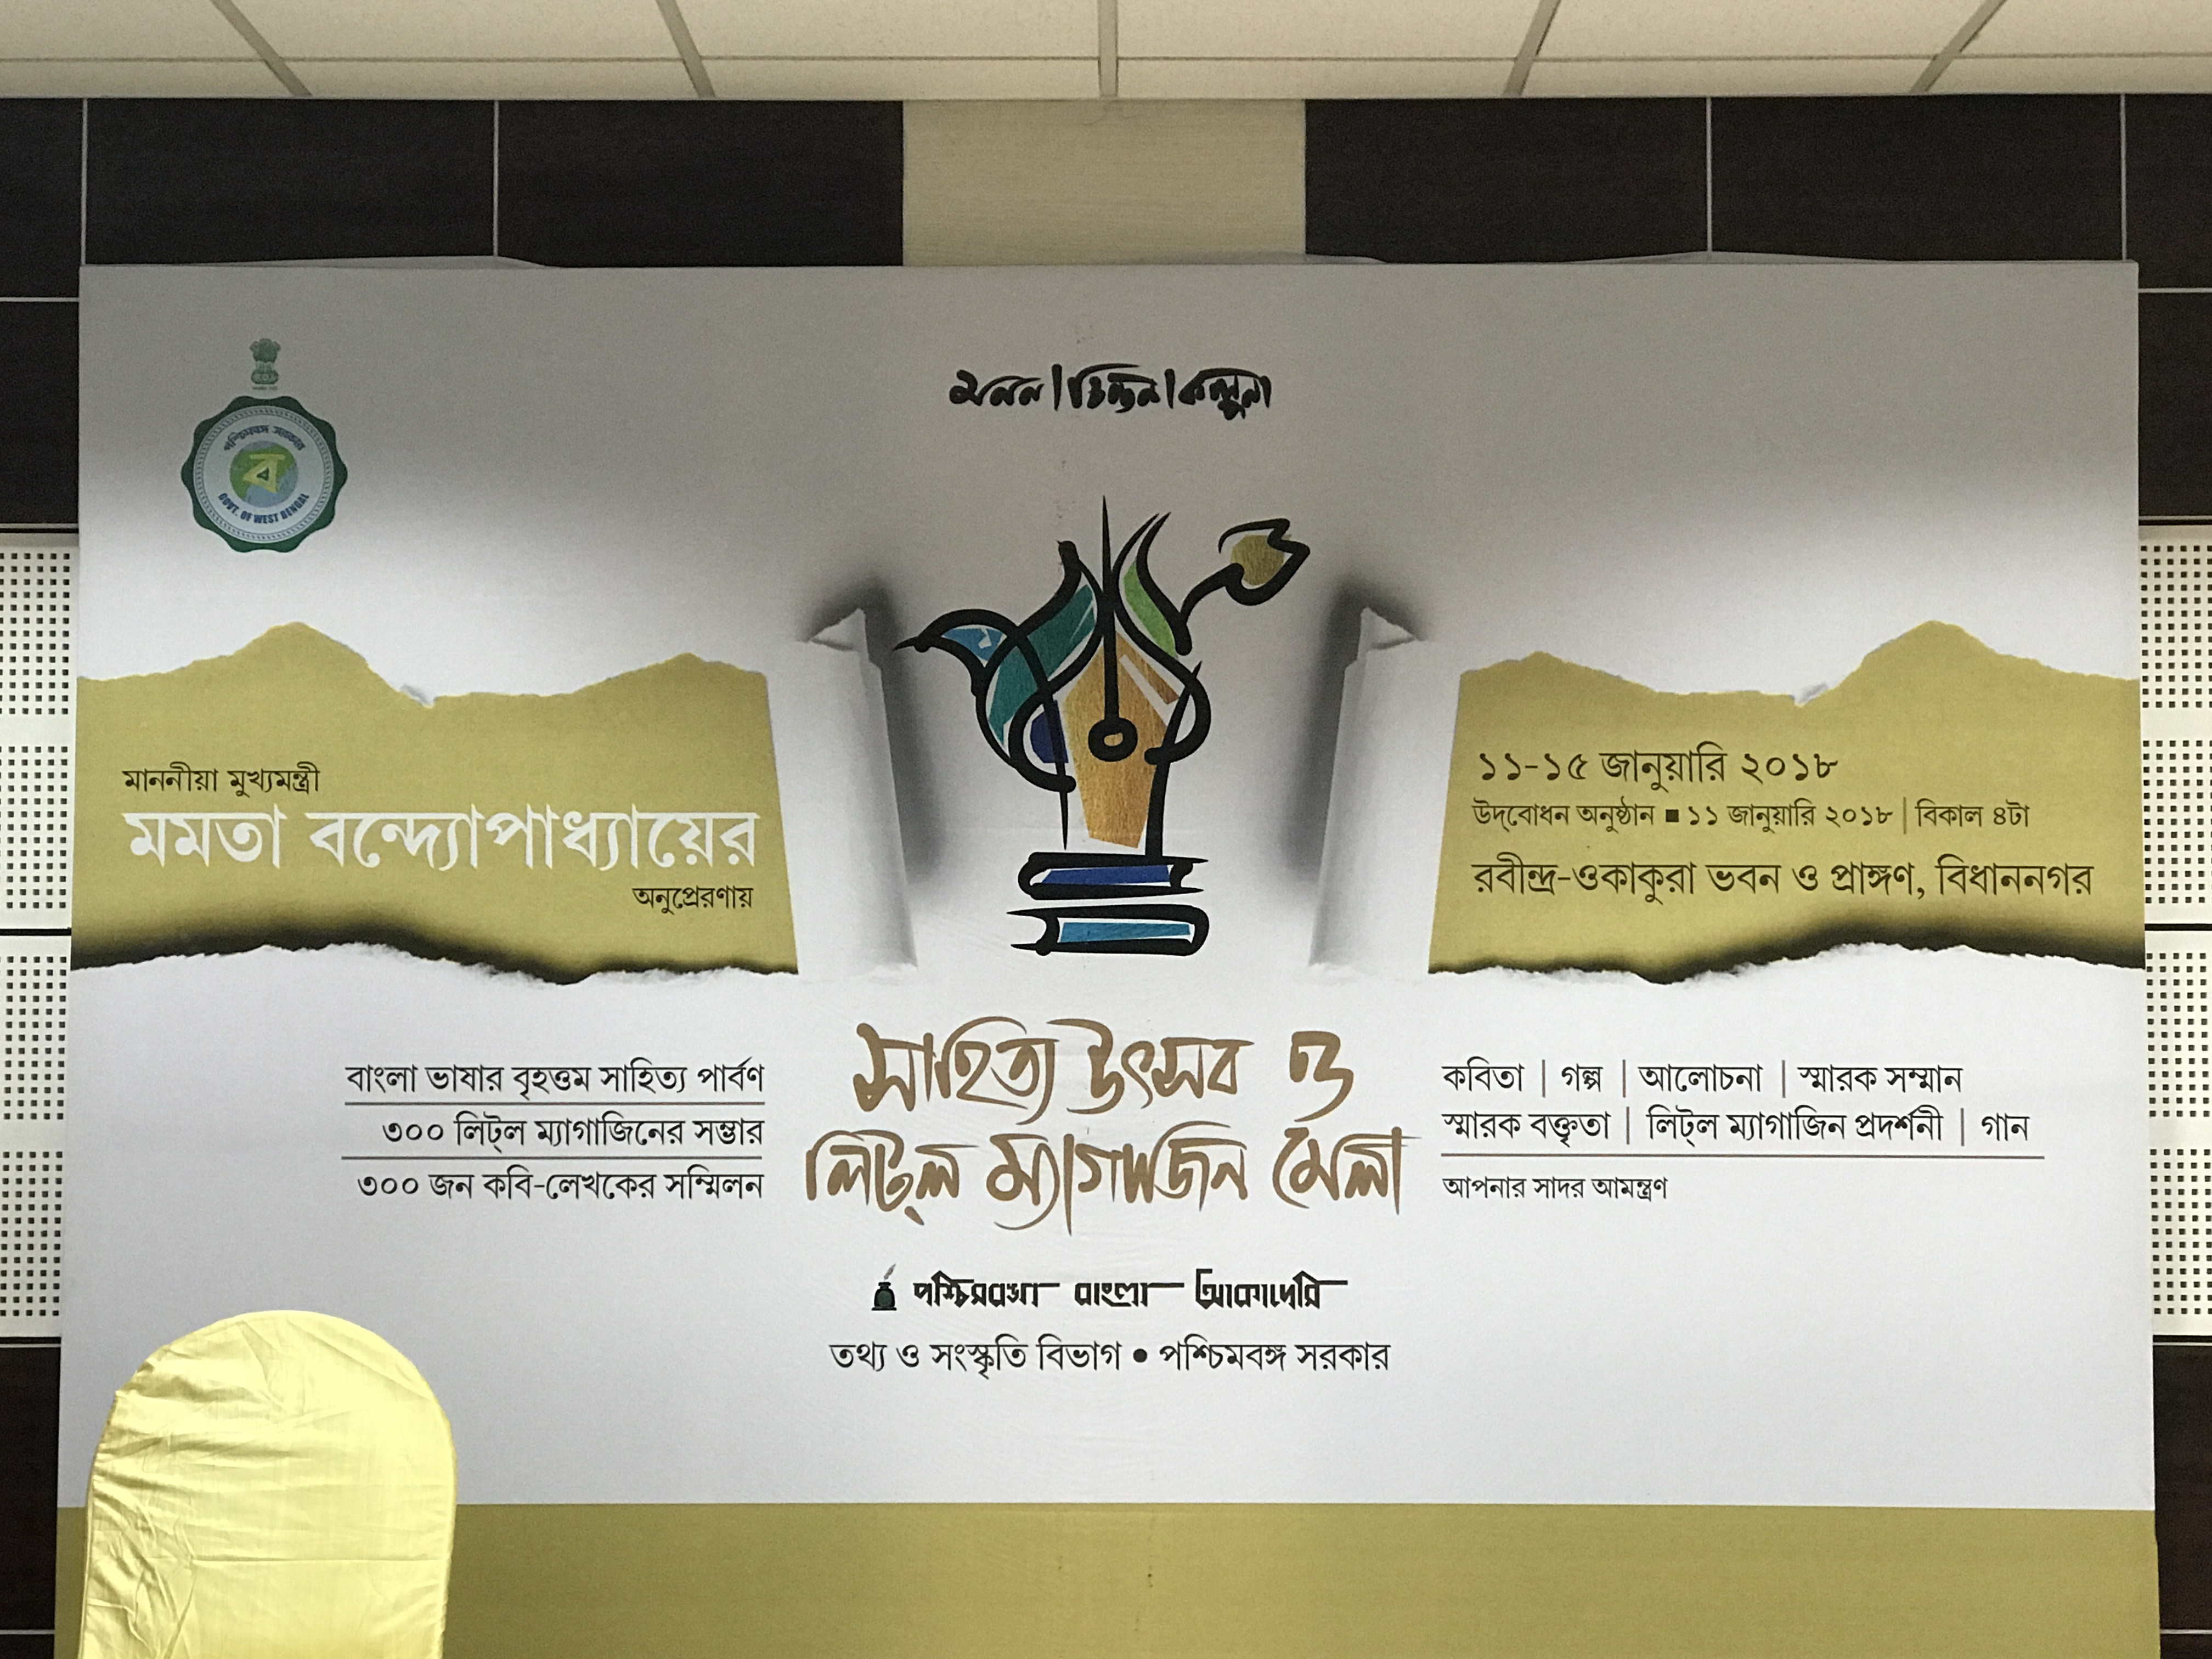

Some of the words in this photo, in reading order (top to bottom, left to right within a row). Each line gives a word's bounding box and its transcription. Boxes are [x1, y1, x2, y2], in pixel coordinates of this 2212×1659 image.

[214, 418, 274, 456] পশ্চিমবঙ্গ
[266, 419, 312, 454] সরকার
[213, 488, 243, 517] GOVT.
[233, 505, 259, 526] OF
[250, 506, 283, 528] WEST
[278, 488, 315, 524] BENGAL
[118, 759, 222, 798] মাননিয়া
[226, 755, 323, 804] মুখ্যমন্ত্রী
[1596, 740, 1728, 793] জানুয়ারি
[1735, 744, 1837, 787] ২০১৮
[122, 799, 290, 869] মমতা
[301, 803, 763, 876] বন্দ্যোপাধ্যায়ের
[1467, 793, 1570, 834] উদ্বোধন
[1572, 795, 1657, 834] অনুষ্ঠান
[1659, 795, 1722, 836] ১১
[1724, 789, 1818, 836] জানুয়ারি
[1818, 795, 1895, 834] ২০১৮
[1909, 791, 1984, 838] বিকাল
[1982, 795, 2034, 834] ৪টা
[624, 884, 757, 916] অনুপ্রেরণায়
[1467, 848, 1561, 904] রবীন্দ্র
[1571, 858, 1700, 911] ওকাকুরা
[1702, 856, 1782, 902] ভবন
[1791, 856, 1824, 899] ও
[1824, 854, 1917, 901] প্রাঙ্গণ
[1936, 848, 2094, 901] বিধাননগর
[337, 1055, 419, 1100] বাংল৷
[424, 1061, 509, 1097] ভাষার
[505, 1060, 594, 1104] বৃহত্তম
[591, 1048, 691, 1102] সাহিত্য
[693, 1051, 767, 1100] পার্বণ
[840, 1010, 1066, 1125] সাহিত্য
[1045, 1013, 1255, 1125] উৎসব
[1441, 1055, 1527, 1096] কবিতা
[1552, 1053, 1608, 1096] গল্প
[1637, 1060, 1770, 1097] আলোচনা
[1793, 1059, 1882, 1096] স্মারক
[1882, 1062, 1966, 1094] সম্মান
[372, 1115, 452, 1147] ৩০০
[451, 1101, 532, 1160] লিট্ল
[531, 1107, 690, 1151] ম্যাগাজিনের
[689, 1111, 765, 1154] সম্ভার
[1436, 1107, 1523, 1143] স্মারক
[1528, 1104, 1612, 1150] বক্তৃতা
[1639, 1098, 1719, 1147] লিট্ল
[1724, 1102, 1849, 1142] ম্যাগাজিন
[1854, 1099, 1945, 1142] প্রদর্শনী
[1971, 1107, 2034, 1149] গান
[350, 1167, 419, 1206] ৩০০
[426, 1167, 477, 1203] জন
[478, 1157, 537, 1204] কবি
[545, 1165, 658, 1205] লেখকের
[662, 1158, 768, 1203] সম্মিলন
[798, 1125, 970, 1228] লিট্ল
[984, 1110, 1253, 1243] ম্যাগাজিন
[1264, 1110, 1413, 1222] মেলা
[1437, 1171, 1529, 1201] আপনার
[1530, 1172, 1585, 1201] সাদর
[1589, 1173, 1673, 1205] আমন্ত্রণ
[909, 1262, 1068, 1311] পশ্চিমএসা
[1073, 1277, 1188, 1314] বাংলা
[1190, 1262, 1354, 1316] আমোদেরি
[826, 1334, 890, 1373] তথ্য
[894, 1339, 923, 1368] ও
[921, 1328, 1028, 1382] সংস্কৃতি
[1030, 1330, 1126, 1375] বিভাগ
[1156, 1327, 1291, 1373] পশ্চিমবঙ্গ
[1293, 1338, 1395, 1373] সরকার